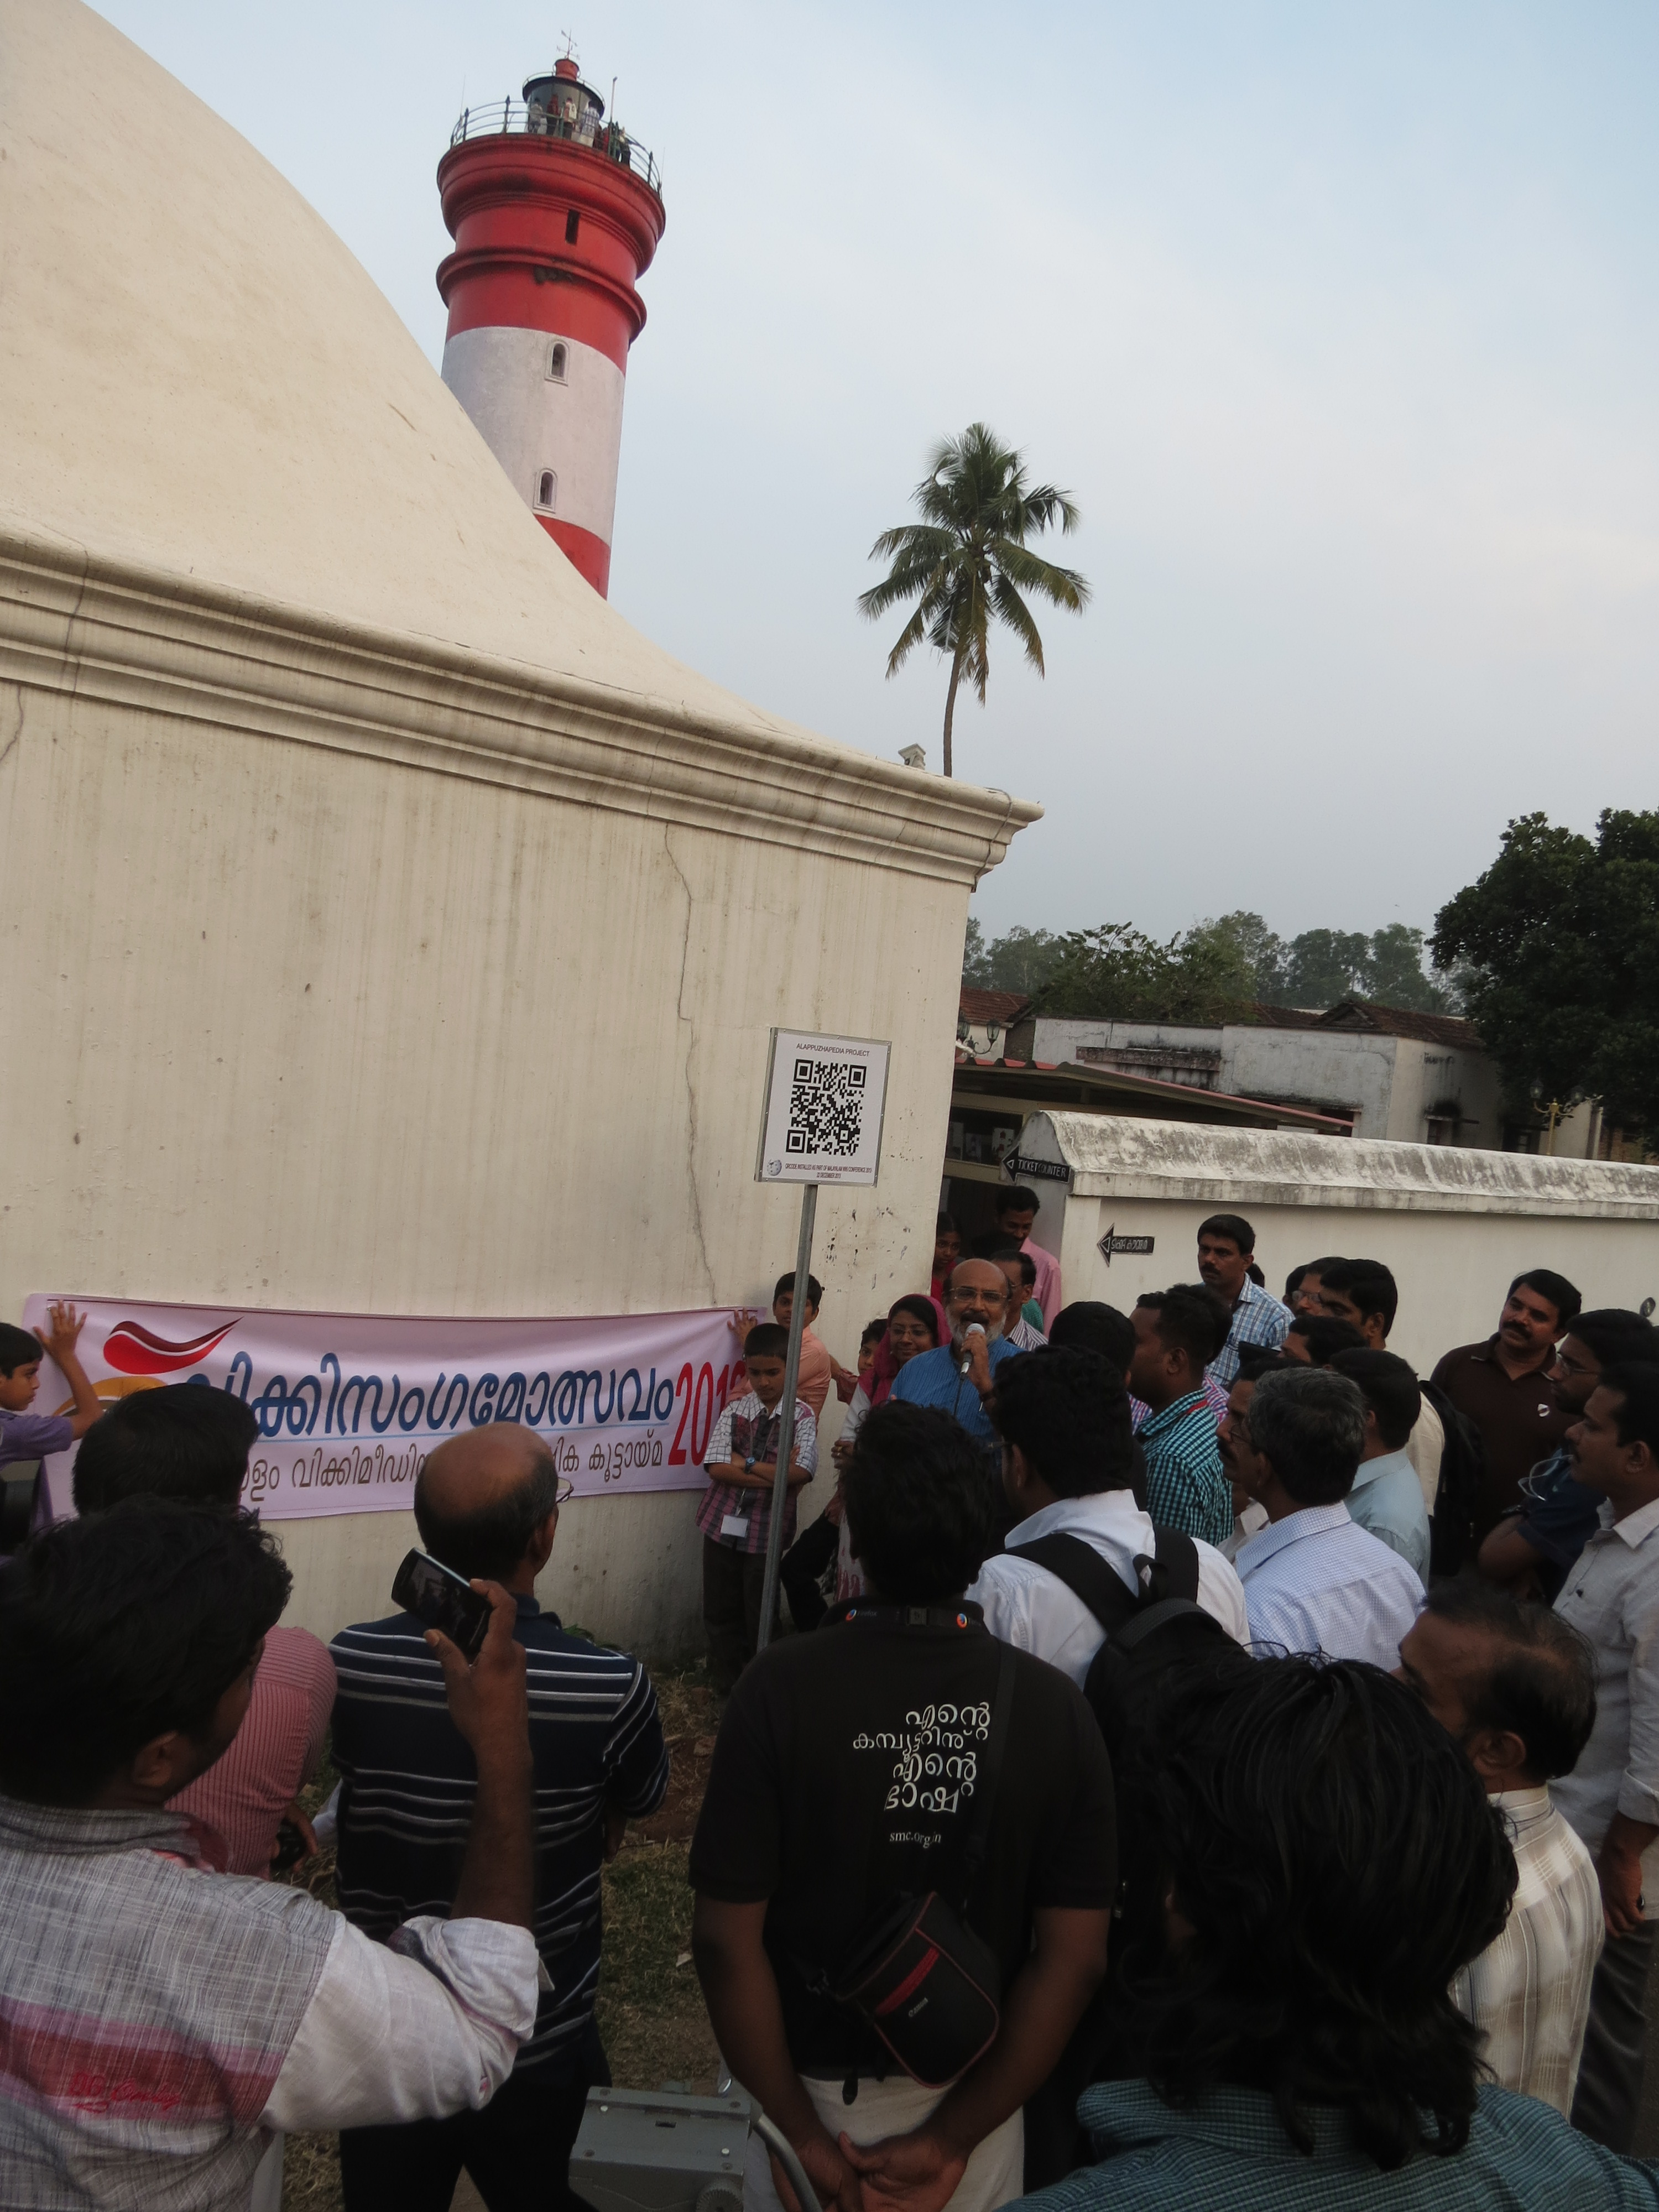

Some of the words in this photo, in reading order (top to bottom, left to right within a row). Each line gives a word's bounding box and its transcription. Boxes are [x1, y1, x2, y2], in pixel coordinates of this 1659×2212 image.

[794, 1040, 872, 1059] ALAPPUZHAPEDIAPROJECT
[1015, 1154, 1042, 1176] TICKET
[1031, 1161, 1070, 1182] COUNTER
[195, 1342, 680, 1446] ക്കിസംഗമോത്സവം
[289, 1437, 430, 1493] വിക്കിമീഡിയ
[576, 1426, 669, 1492] കൂട്ടായ്മ
[847, 1720, 975, 1765] കമ്പ്യൂറിനു്
[900, 1698, 995, 1747] എൻെ
[886, 1744, 985, 1801] എൻെ
[877, 1776, 969, 1817] ഭാഷ
[885, 1827, 948, 1857] smc.org.in